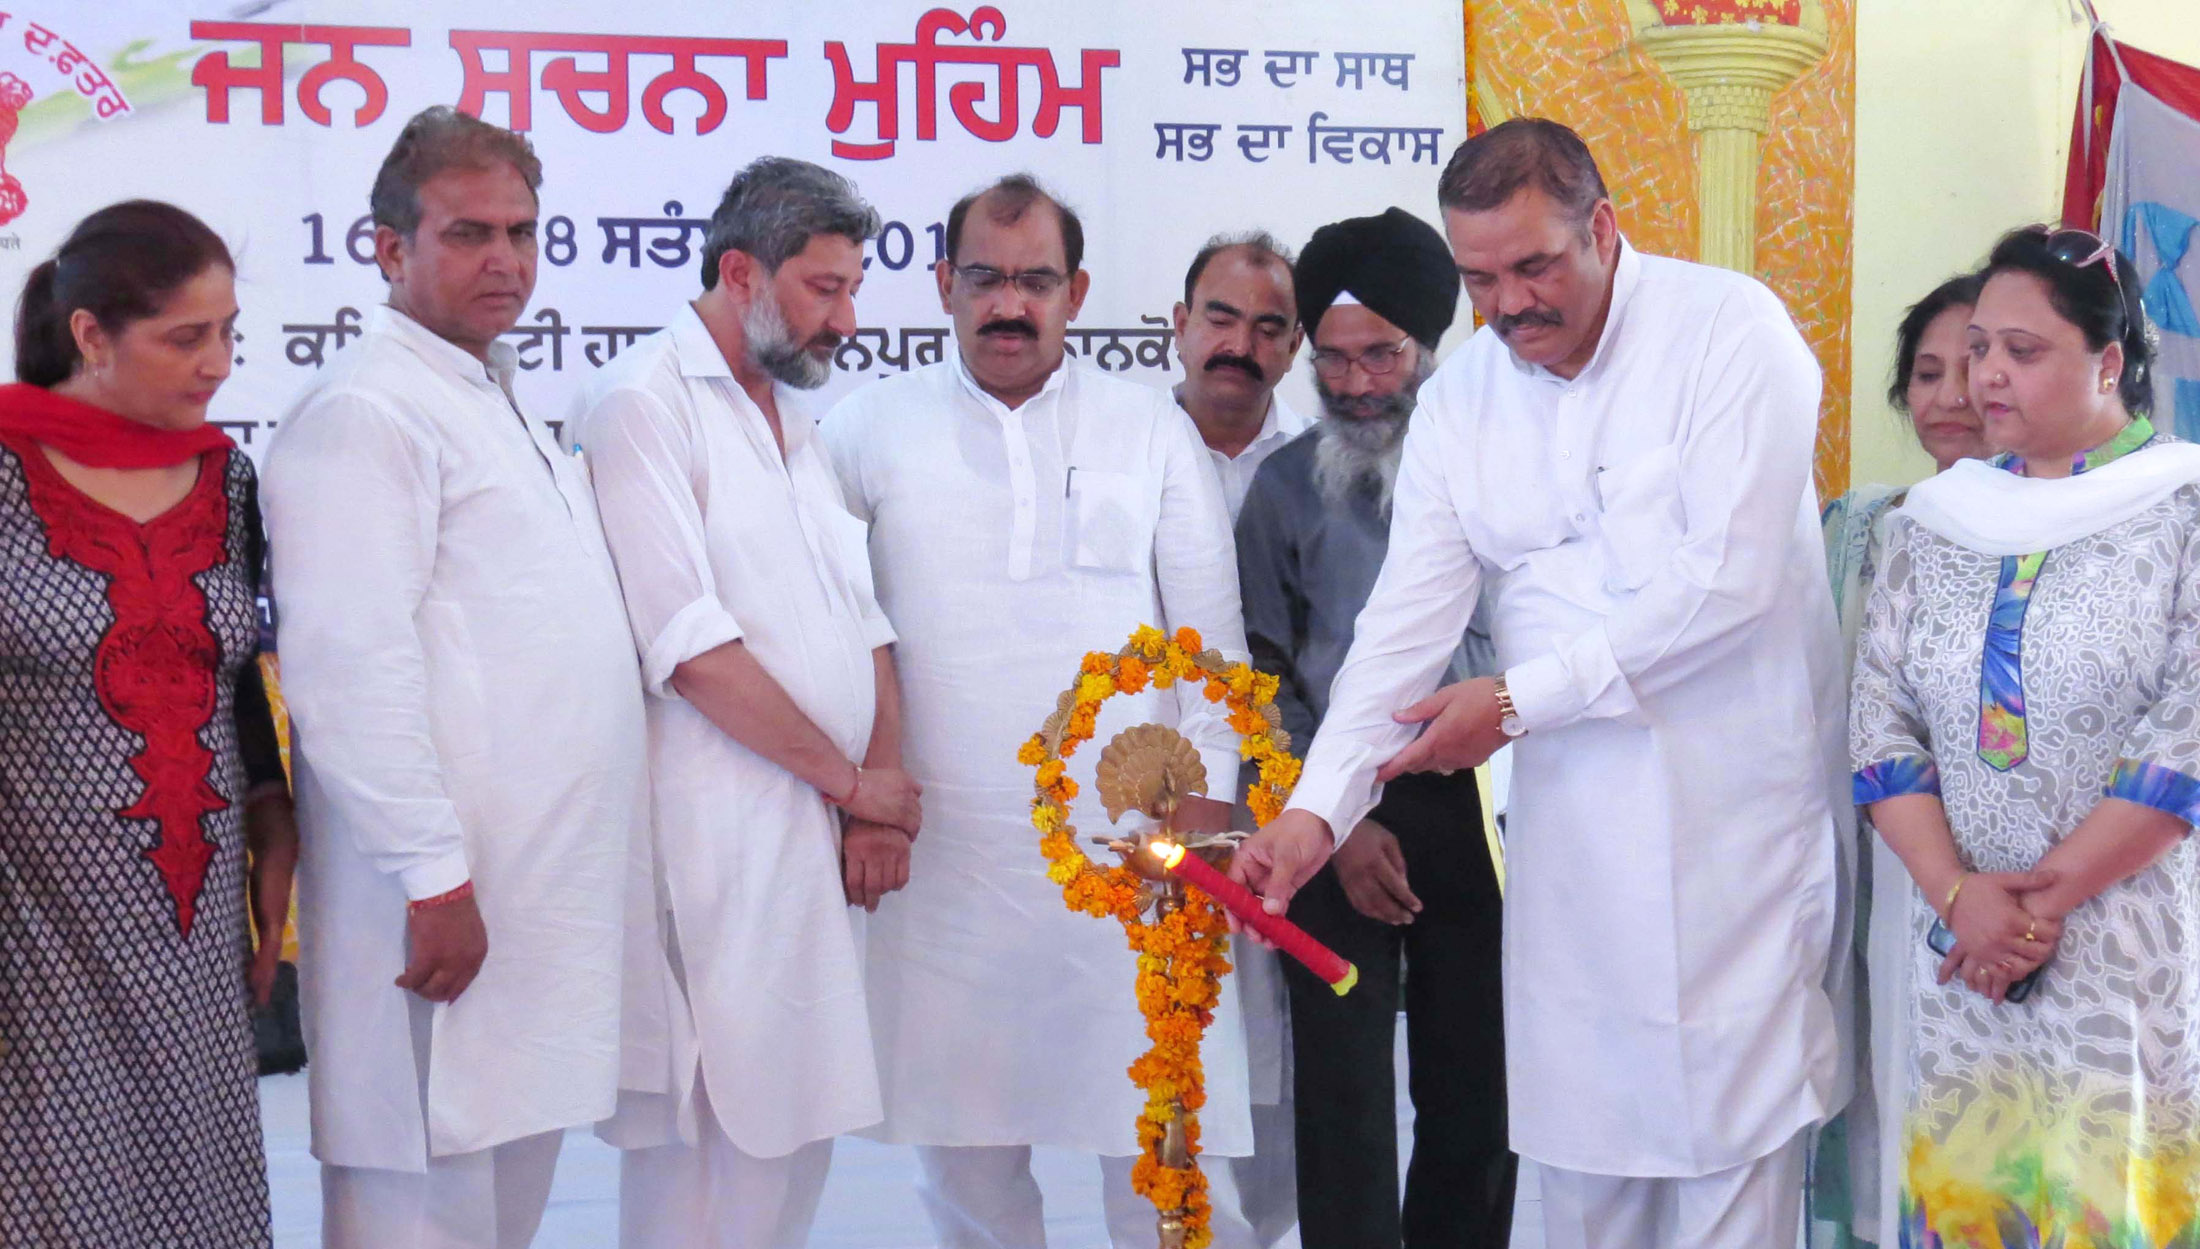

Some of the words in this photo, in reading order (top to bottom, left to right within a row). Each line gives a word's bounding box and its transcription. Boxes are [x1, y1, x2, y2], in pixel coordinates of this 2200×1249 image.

[9, 9, 142, 131] ਦਫ਼ਤਰ
[171, 5, 420, 141] ਜਨ
[435, 13, 802, 159] ਸਚਨਾ
[808, 2, 1131, 172] ਮੁਹਿੰਮ
[1167, 32, 1258, 97] ਸਭ
[1257, 36, 1324, 93] ਦਾ
[1326, 46, 1422, 98] ਸਾਥ
[1142, 111, 1229, 170] ਸਭ
[1232, 117, 1296, 170] ਦਾ
[1299, 106, 1453, 177] ਵਿਕਾਸ
[294, 196, 381, 277] 16
[533, 209, 582, 272] 8
[590, 192, 698, 285] ਸਤੰ
[874, 213, 954, 278] 01